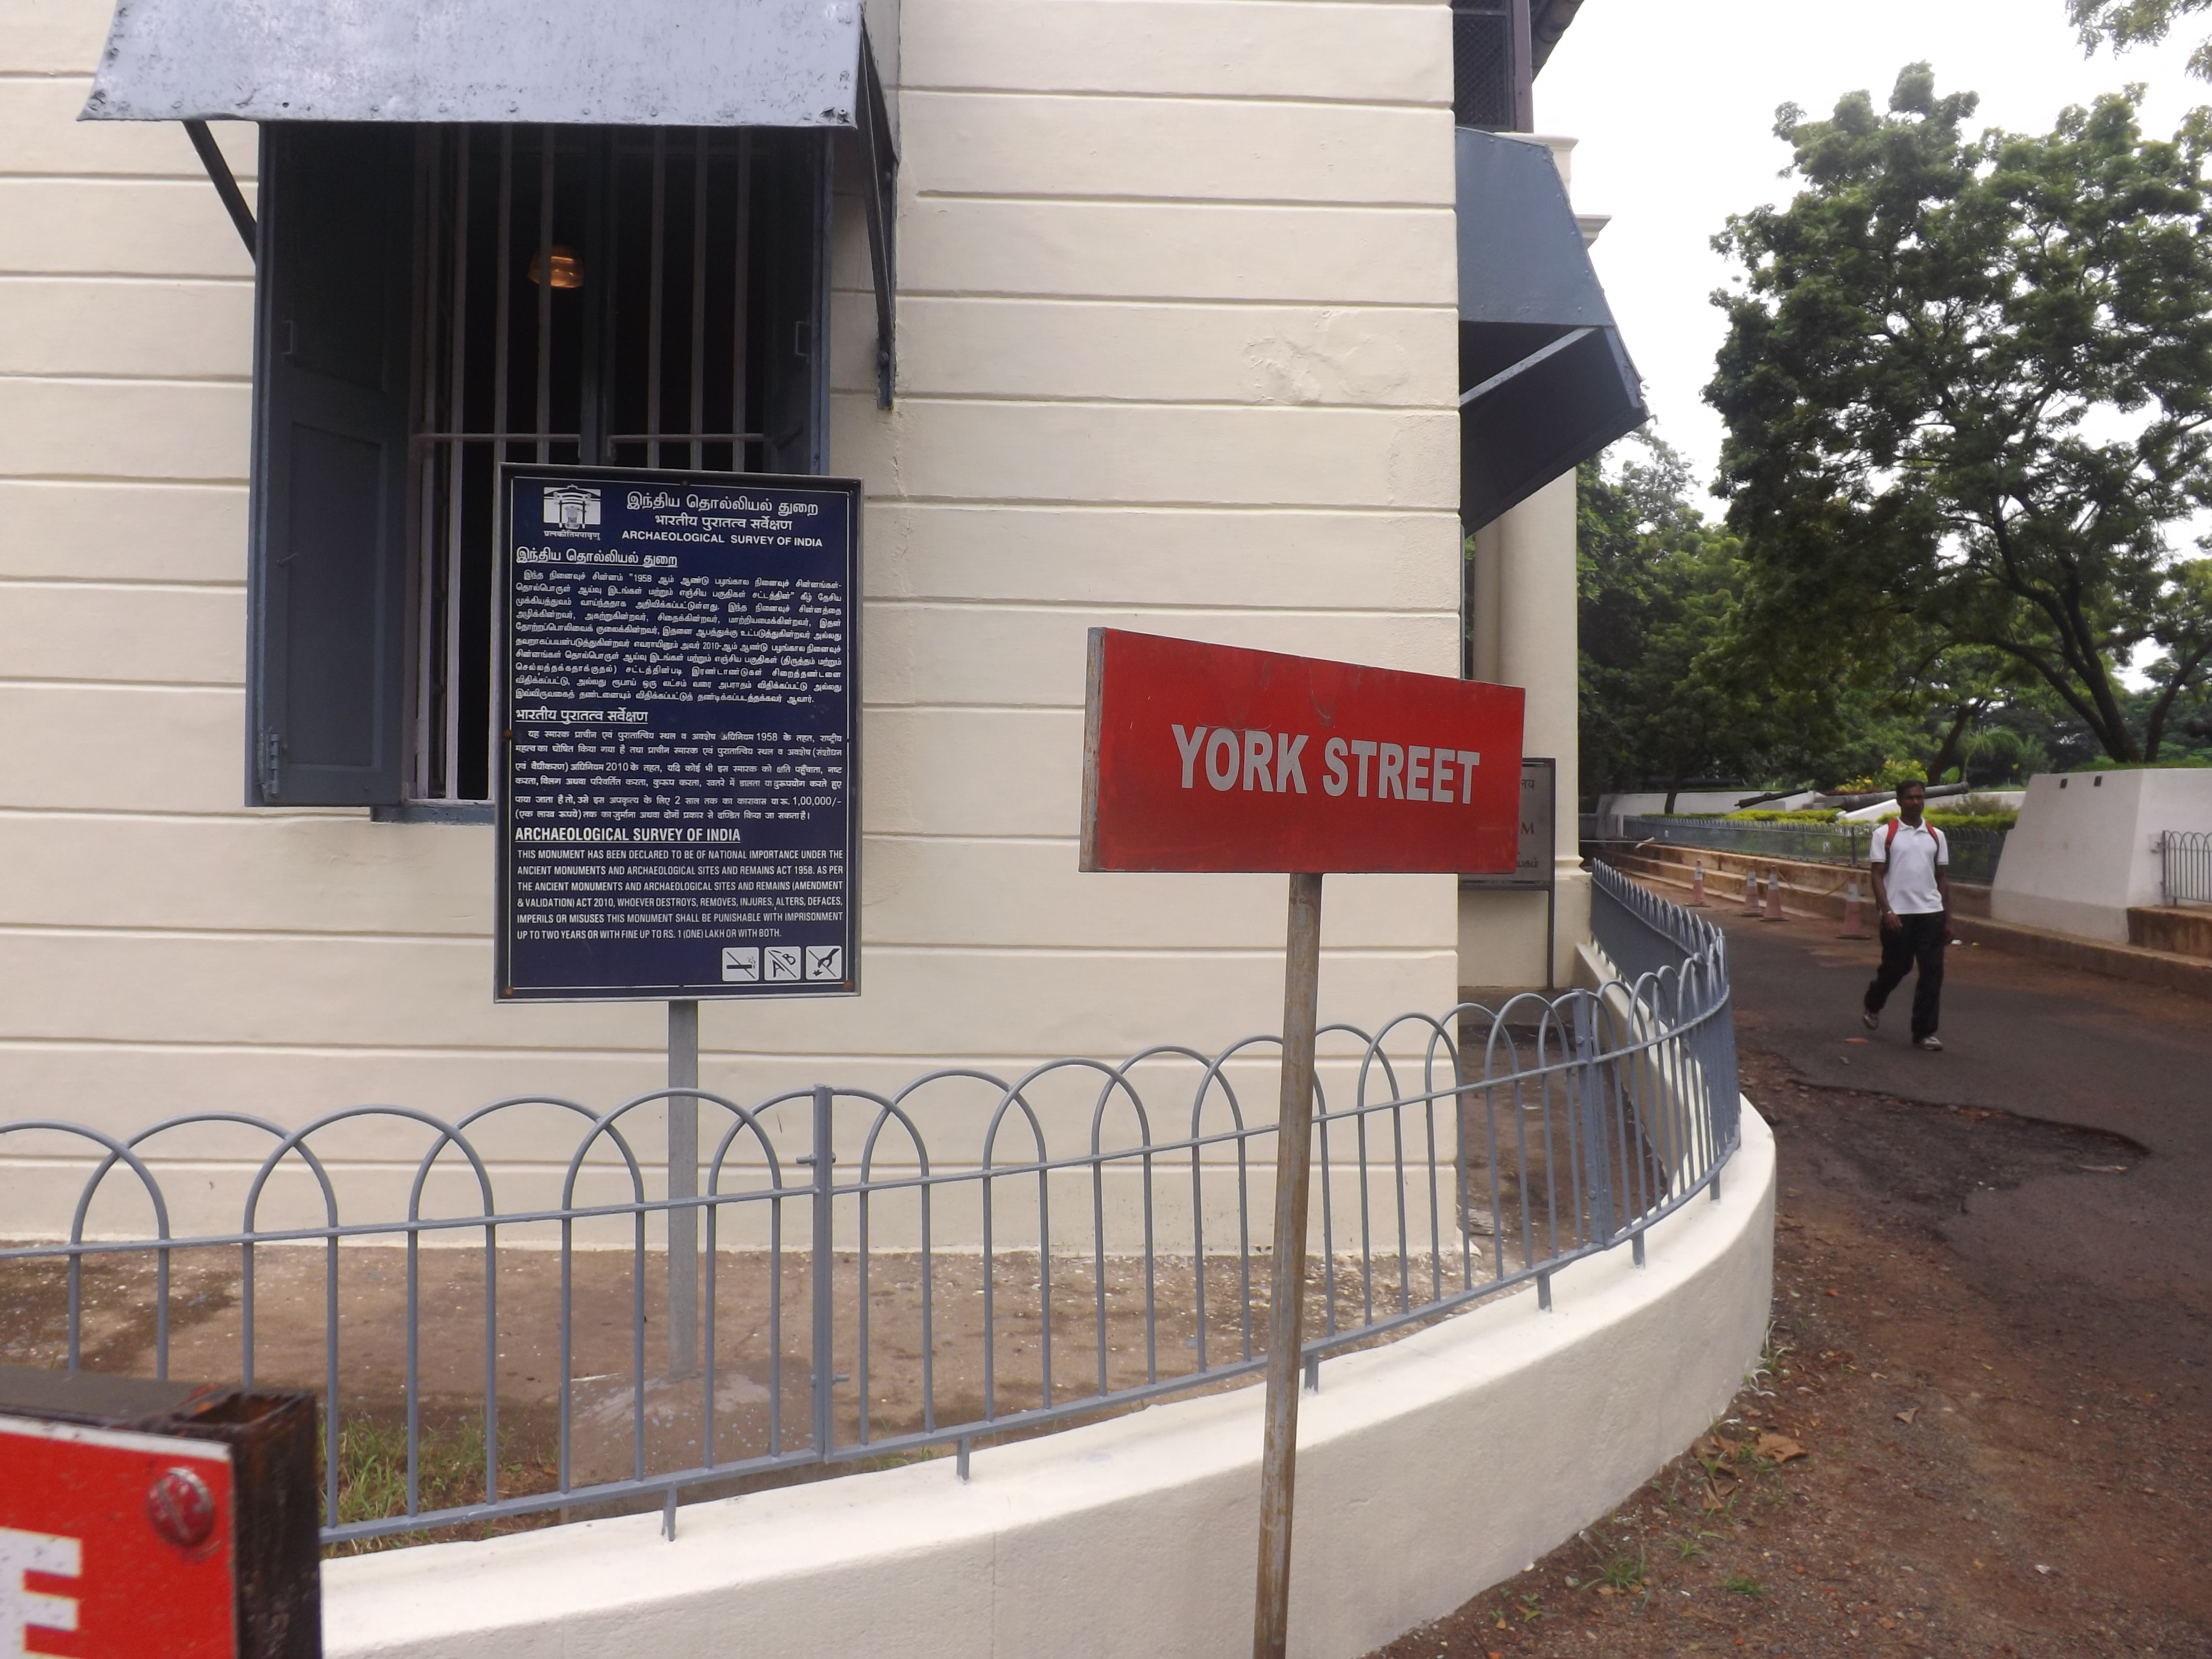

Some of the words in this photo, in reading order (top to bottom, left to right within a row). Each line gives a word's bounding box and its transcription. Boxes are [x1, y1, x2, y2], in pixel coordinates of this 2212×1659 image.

[623, 486, 682, 513] இந்திய
[680, 490, 774, 514] தொல்லியல்
[773, 501, 822, 519] துறை
[652, 509, 699, 528] भारतीय
[701, 514, 749, 533] पुरातत्व
[748, 513, 795, 532] सर्वेक्षण
[541, 527, 603, 542] प्रलकीतिमपावृणु
[620, 527, 725, 545] ARCHAEOLOGICAL
[728, 532, 775, 546] SURVEY
[775, 534, 793, 548] OF
[792, 534, 824, 548] INDIA
[514, 543, 564, 565] இந்திய
[563, 546, 641, 568] தொல்லியல்
[642, 552, 680, 570] துறை
[521, 566, 546, 583] இந்த
[511, 645, 564, 660] சின்னங்கள்
[513, 671, 571, 688] விதிக்கப்பட்டு,
[512, 578, 574, 597] தொல்பொருள்
[511, 682, 577, 702] இவ்விருவகைத்
[513, 592, 576, 608] முக்கியத்துவம்
[513, 607, 576, 621] அழிக்கின்றவர்,
[513, 617, 596, 633] தோற்றப்பொலிவைக்
[513, 658, 615, 676] செல்லத்தக்கதாக்குதல்)
[547, 567, 588, 583] நினைவுச்
[514, 633, 633, 651] தவறாகப் பயன்படுத்துகின்ற வர்
[577, 582, 604, 598] ஆய்வு
[572, 673, 609, 690] அல்லது
[562, 649, 623, 665] தொல்பொருள்
[577, 596, 631, 610] வாய்ந்ததாக
[577, 688, 633, 702] தண்டனையும்
[590, 569, 626, 584] சின்னம்
[584, 609, 649, 626] அகற்றுகின்றவர்
[603, 582, 644, 598] இடங்கள்
[610, 674, 639, 688] ரூபாய்
[594, 623, 661, 638] குலைக்கின்றவர்
[621, 647, 649, 665] ஆய்வு
[631, 572, 656, 584] 1958
[640, 678, 659, 691] ஒரு
[623, 661, 686, 679] சட்டத்தின்படி
[632, 635, 681, 651] எவராயினும்
[644, 585, 675, 598] மற்றும்
[632, 687, 695, 704] விதிக்கப்பட்டுத்
[656, 574, 677, 589] ஆம்
[646, 649, 687, 667] இடங்கள்
[659, 676, 689, 690] லட்சம்
[657, 622, 696, 638] இதனை
[633, 595, 722, 613] அறிவிக்கப்பட்டுள்ளது
[655, 610, 721, 627] சிதைக்கின்றவர்,
[679, 639, 702, 653] அவர்
[677, 585, 709, 600] எஞ்சிய
[678, 573, 713, 587] ஆண்டு
[684, 650, 714, 667] மற்றும்
[690, 679, 713, 690] வரை
[694, 625, 740, 641] ஆபத்துக்கு
[701, 640, 739, 655] 2010-ஆம்
[689, 662, 763, 680] இரண்டாண்டுகள்
[709, 585, 747, 601] பகுதிகள்
[713, 652, 745, 666] எஞ்சிய
[709, 574, 752, 590] பழங்கால
[715, 677, 753, 691] அபராதம்
[725, 597, 749, 615] இந்த
[694, 691, 784, 705] தண்டிக்கப்படத்தக்கவர்
[737, 639, 771, 655] ஆண்டு
[743, 651, 780, 668] பகுதிகள்
[726, 613, 811, 628] மாற்றியமைக்கின்றவர்
[752, 573, 792, 591] நினைவுச்
[752, 599, 793, 614] நினைவுச்
[751, 587, 795, 602] சட்டத்தின்"
[739, 624, 811, 641] உட்படுத்துகின்றவர்
[756, 677, 810, 695] விதிக்கப்பட்டு
[770, 640, 807, 655] பழங்கால
[777, 653, 818, 669] (திருத்தம்
[785, 694, 816, 708] ஆவார்.
[796, 590, 815, 604] கீழ்
[770, 663, 843, 681] சிறைத்தண்டனை
[793, 574, 844, 590] சின்னங்கள்-
[796, 601, 844, 618] சின்னத்தை
[803, 642, 842, 657] நினைவுச்
[809, 679, 844, 694] அல்லது
[811, 626, 843, 643] அல்லது
[816, 591, 844, 604] தேசிய
[817, 613, 843, 630] இதனஂ
[816, 654, 844, 669] மற்றும்
[513, 703, 560, 723] भारतीय
[560, 708, 606, 727] पुरातत्व
[605, 704, 649, 724] सर्वेक्षण
[525, 729, 542, 741] यह
[543, 728, 573, 741] स्मारक
[573, 726, 599, 741] प्राचीन
[600, 726, 614, 742] एवं
[615, 727, 656, 743] पुरातात्विय
[657, 730, 677, 742] स्थल
[679, 732, 689, 741] व
[691, 727, 719, 743] अवशेष
[719, 728, 756, 743] अधिनियम
[755, 729, 779, 744] 1958
[779, 728, 795, 744] के
[794, 731, 815, 744] तहत,
[817, 730, 844, 744] राष्‍ट्रीय
[513, 742, 538, 755] महत्व
[534, 743, 549, 754] का
[549, 740, 575, 755] घोषित
[575, 740, 597, 754] किया
[597, 743, 616, 756] गया
[617, 742, 628, 756] है
[627, 744, 645, 756] तथा
[644, 741, 672, 756] प्राचीन
[671, 745, 701, 757] स्मारक
[700, 743, 715, 757] एवं
[715, 743, 756, 759] पुरातात्विय
[755, 746, 775, 758] स्‍थल
[775, 746, 786, 759] व
[785, 744, 813, 759] अवशेष
[811, 744, 845, 759] (संशोधन
[1167, 713, 1312, 799] YORK
[513, 760, 529, 775] एवं
[528, 756, 568, 772] वैधीकरण)
[568, 758, 607, 773] अधिनियम
[604, 760, 631, 774] 2010
[626, 759, 641, 773] के
[640, 762, 662, 774] तहत
[664, 759, 682, 775] यदि
[682, 759, 703, 774] कोई
[701, 761, 715, 774] भी
[715, 763, 729, 775] इस
[729, 763, 760, 774] स्मारक
[758, 762, 774, 775] को
[773, 761, 791, 777] क्षति
[794, 760, 823, 777] पहुँचाता,
[825, 764, 845, 776] नष्‍ट
[1318, 727, 1486, 811] STREET
[512, 775, 538, 787] करता,
[535, 772, 563, 786] विलग
[563, 775, 589, 789] अथवा
[589, 772, 623, 788] परिवर्तित
[624, 775, 648, 788] करता,
[650, 777, 676, 790] कुरूप
[677, 776, 701, 788] करता
[703, 776, 727, 790] खतरे
[726, 774, 738, 787] में
[737, 776, 762, 788] डालता
[760, 777, 775, 789] या
[772, 774, 808, 791] दुरूपयोग
[807, 776, 829, 789] करते
[828, 778, 843, 793] हुए
[511, 793, 533, 805] पाया
[534, 793, 555, 808] जाता
[552, 791, 565, 808] हैे
[562, 790, 575, 808] तो,
[575, 790, 591, 807] उसे
[590, 793, 606, 808] इस
[608, 794, 641, 808] अपकृत्य
[641, 792, 654, 805] के
[653, 792, 673, 808] लिए
[672, 793, 683, 807] 2
[683, 794, 701, 808] साल
[701, 795, 720, 808] तक
[720, 794, 734, 807] का
[735, 795, 770, 807] कारावास
[767, 796, 792, 808] या रू.
[791, 794, 839, 808] 1,00,000/-
[517, 808, 535, 821] एक
[534, 808, 559, 821] लाख
[556, 807, 580, 820] रूपये)
[581, 809, 599, 820] तक
[598, 809, 613, 820] का
[612, 805, 639, 823] जुर्माना
[639, 810, 662, 820] अथवा
[661, 805, 680, 822] दोनों
[681, 809, 706, 822] प्रकार
[704, 806, 717, 822] से
[715, 806, 742, 821] दण्डित
[738, 806, 763, 821] किया
[763, 811, 776, 822] जा
[777, 811, 801, 822] सकता
[796, 805, 813, 822] है।
[510, 825, 632, 843] ARCHAEOLOGICAL
[630, 825, 687, 842] SURVEY
[685, 825, 705, 843] OF
[705, 826, 743, 843] INDIA
[516, 843, 538, 861] THIS
[536, 847, 587, 861] MONUMENT
[584, 845, 604, 860] HAS
[605, 847, 628, 861] BEEN
[627, 846, 671, 863] DECLARED
[668, 847, 684, 863] TO
[681, 847, 696, 861] BE
[695, 846, 707, 863] OF
[706, 847, 749, 863] NATIONAL
[746, 845, 801, 861] IMPORTANCE
[799, 846, 829, 861] UNDER
[827, 847, 845, 860] THE
[515, 862, 552, 877] ANCIENT
[551, 863, 608, 879] MONUMENTS
[605, 863, 627, 877] AND
[626, 862, 697, 877] ARCHAEOLOGICAL
[696, 862, 722, 877] SITES
[721, 864, 739, 877] AND
[738, 863, 776, 876] REMAINS
[772, 863, 794, 876] ACT
[793, 864, 816, 876] 1958.
[815, 864, 829, 877] AS
[825, 862, 845, 876] PER
[514, 879, 535, 893] THE
[532, 880, 570, 893] ANCIENT
[569, 880, 626, 894] MONUMENTS
[625, 879, 644, 893] AND
[642, 877, 714, 893] ARCHAEOLOGICAL
[711, 880, 738, 893] SITES
[736, 881, 756, 894] AND
[756, 879, 792, 892] REMAINS
[791, 878, 844, 892] (AMENDMENT
[514, 896, 526, 910] &
[523, 894, 577, 909] VALIDATION)
[572, 897, 593, 909] ACT
[591, 895, 615, 908] 2010,
[616, 896, 658, 910] WHOEVER
[654, 895, 698, 908] DESTROYS,
[698, 895, 739, 908] REMOVES,
[739, 894, 774, 909] INJURES,
[774, 893, 806, 908] ALTERS,
[805, 892, 843, 908] DEFACES,
[515, 910, 556, 926] IMPERILS
[555, 911, 570, 926] OR
[566, 910, 607, 924] MISUSES
[604, 911, 626, 926] THIS
[625, 912, 674, 925] MONUMENT
[673, 912, 701, 925] SHALL
[699, 910, 714, 925] BE
[711, 909, 763, 925] PUNISHABLE
[761, 909, 785, 925] WITH
[782, 909, 844, 923] IMPRISONMENT
[513, 928, 531, 941] UP
[527, 927, 543, 942] TO
[541, 928, 562, 942] TWO
[559, 926, 588, 941] YEARS
[585, 928, 600, 942] OR
[598, 927, 622, 941] WITH
[617, 927, 641, 941] FINE
[637, 927, 651, 940] UP
[649, 926, 676, 940] TORS.
[678, 927, 707, 939] (ONE)
[704, 926, 727, 939] LAKH
[724, 927, 738, 939] OR
[736, 925, 759, 939] WITH
[755, 927, 784, 940] BOTH.